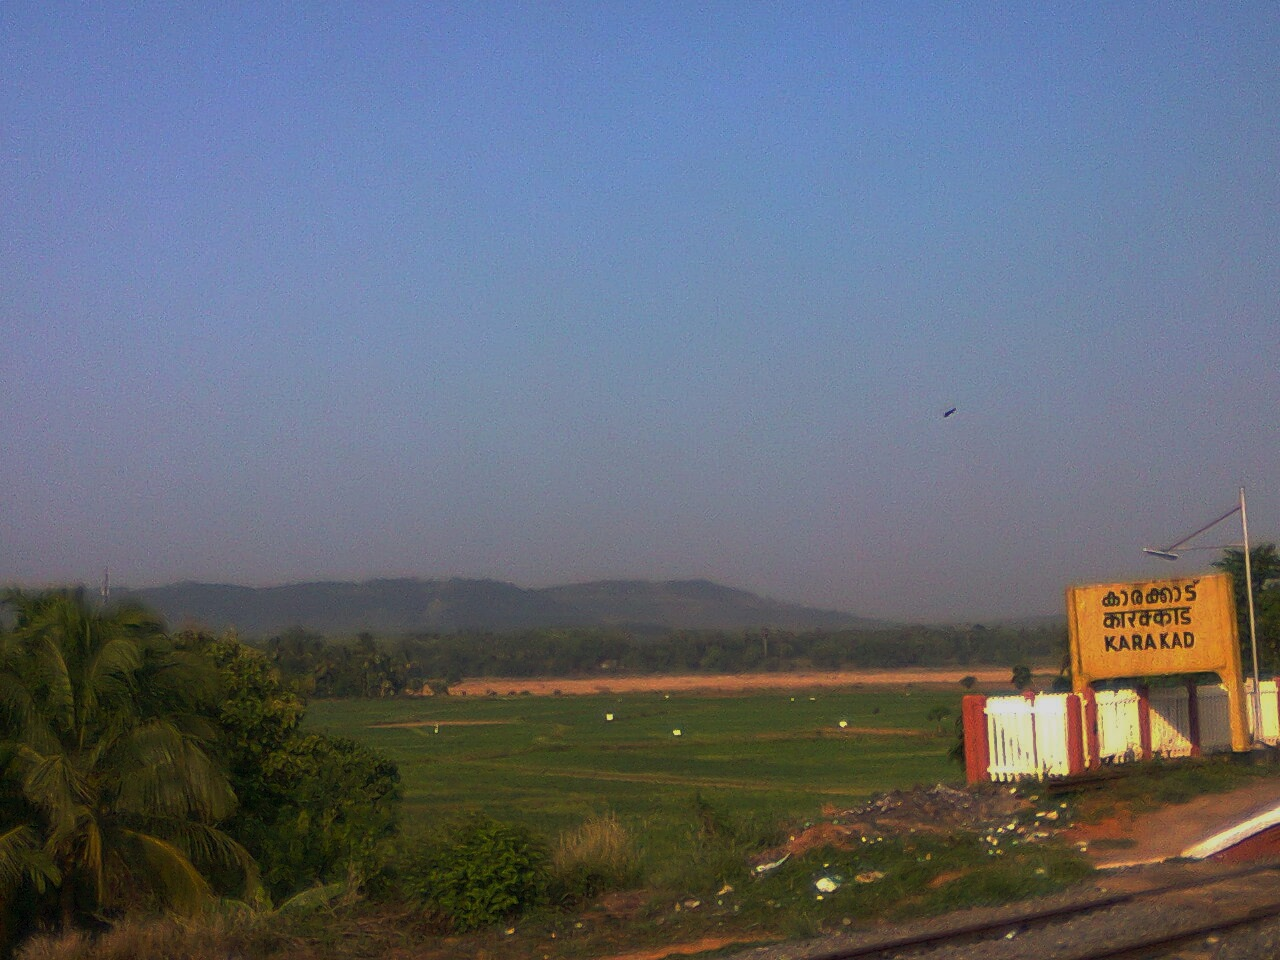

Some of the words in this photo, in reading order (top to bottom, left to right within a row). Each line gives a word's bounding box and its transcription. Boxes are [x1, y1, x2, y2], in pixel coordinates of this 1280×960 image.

[1097, 576, 1203, 612] കാരക്കാട്
[1097, 599, 1193, 633] कारक्काड
[1099, 623, 1198, 656] KARAKAD